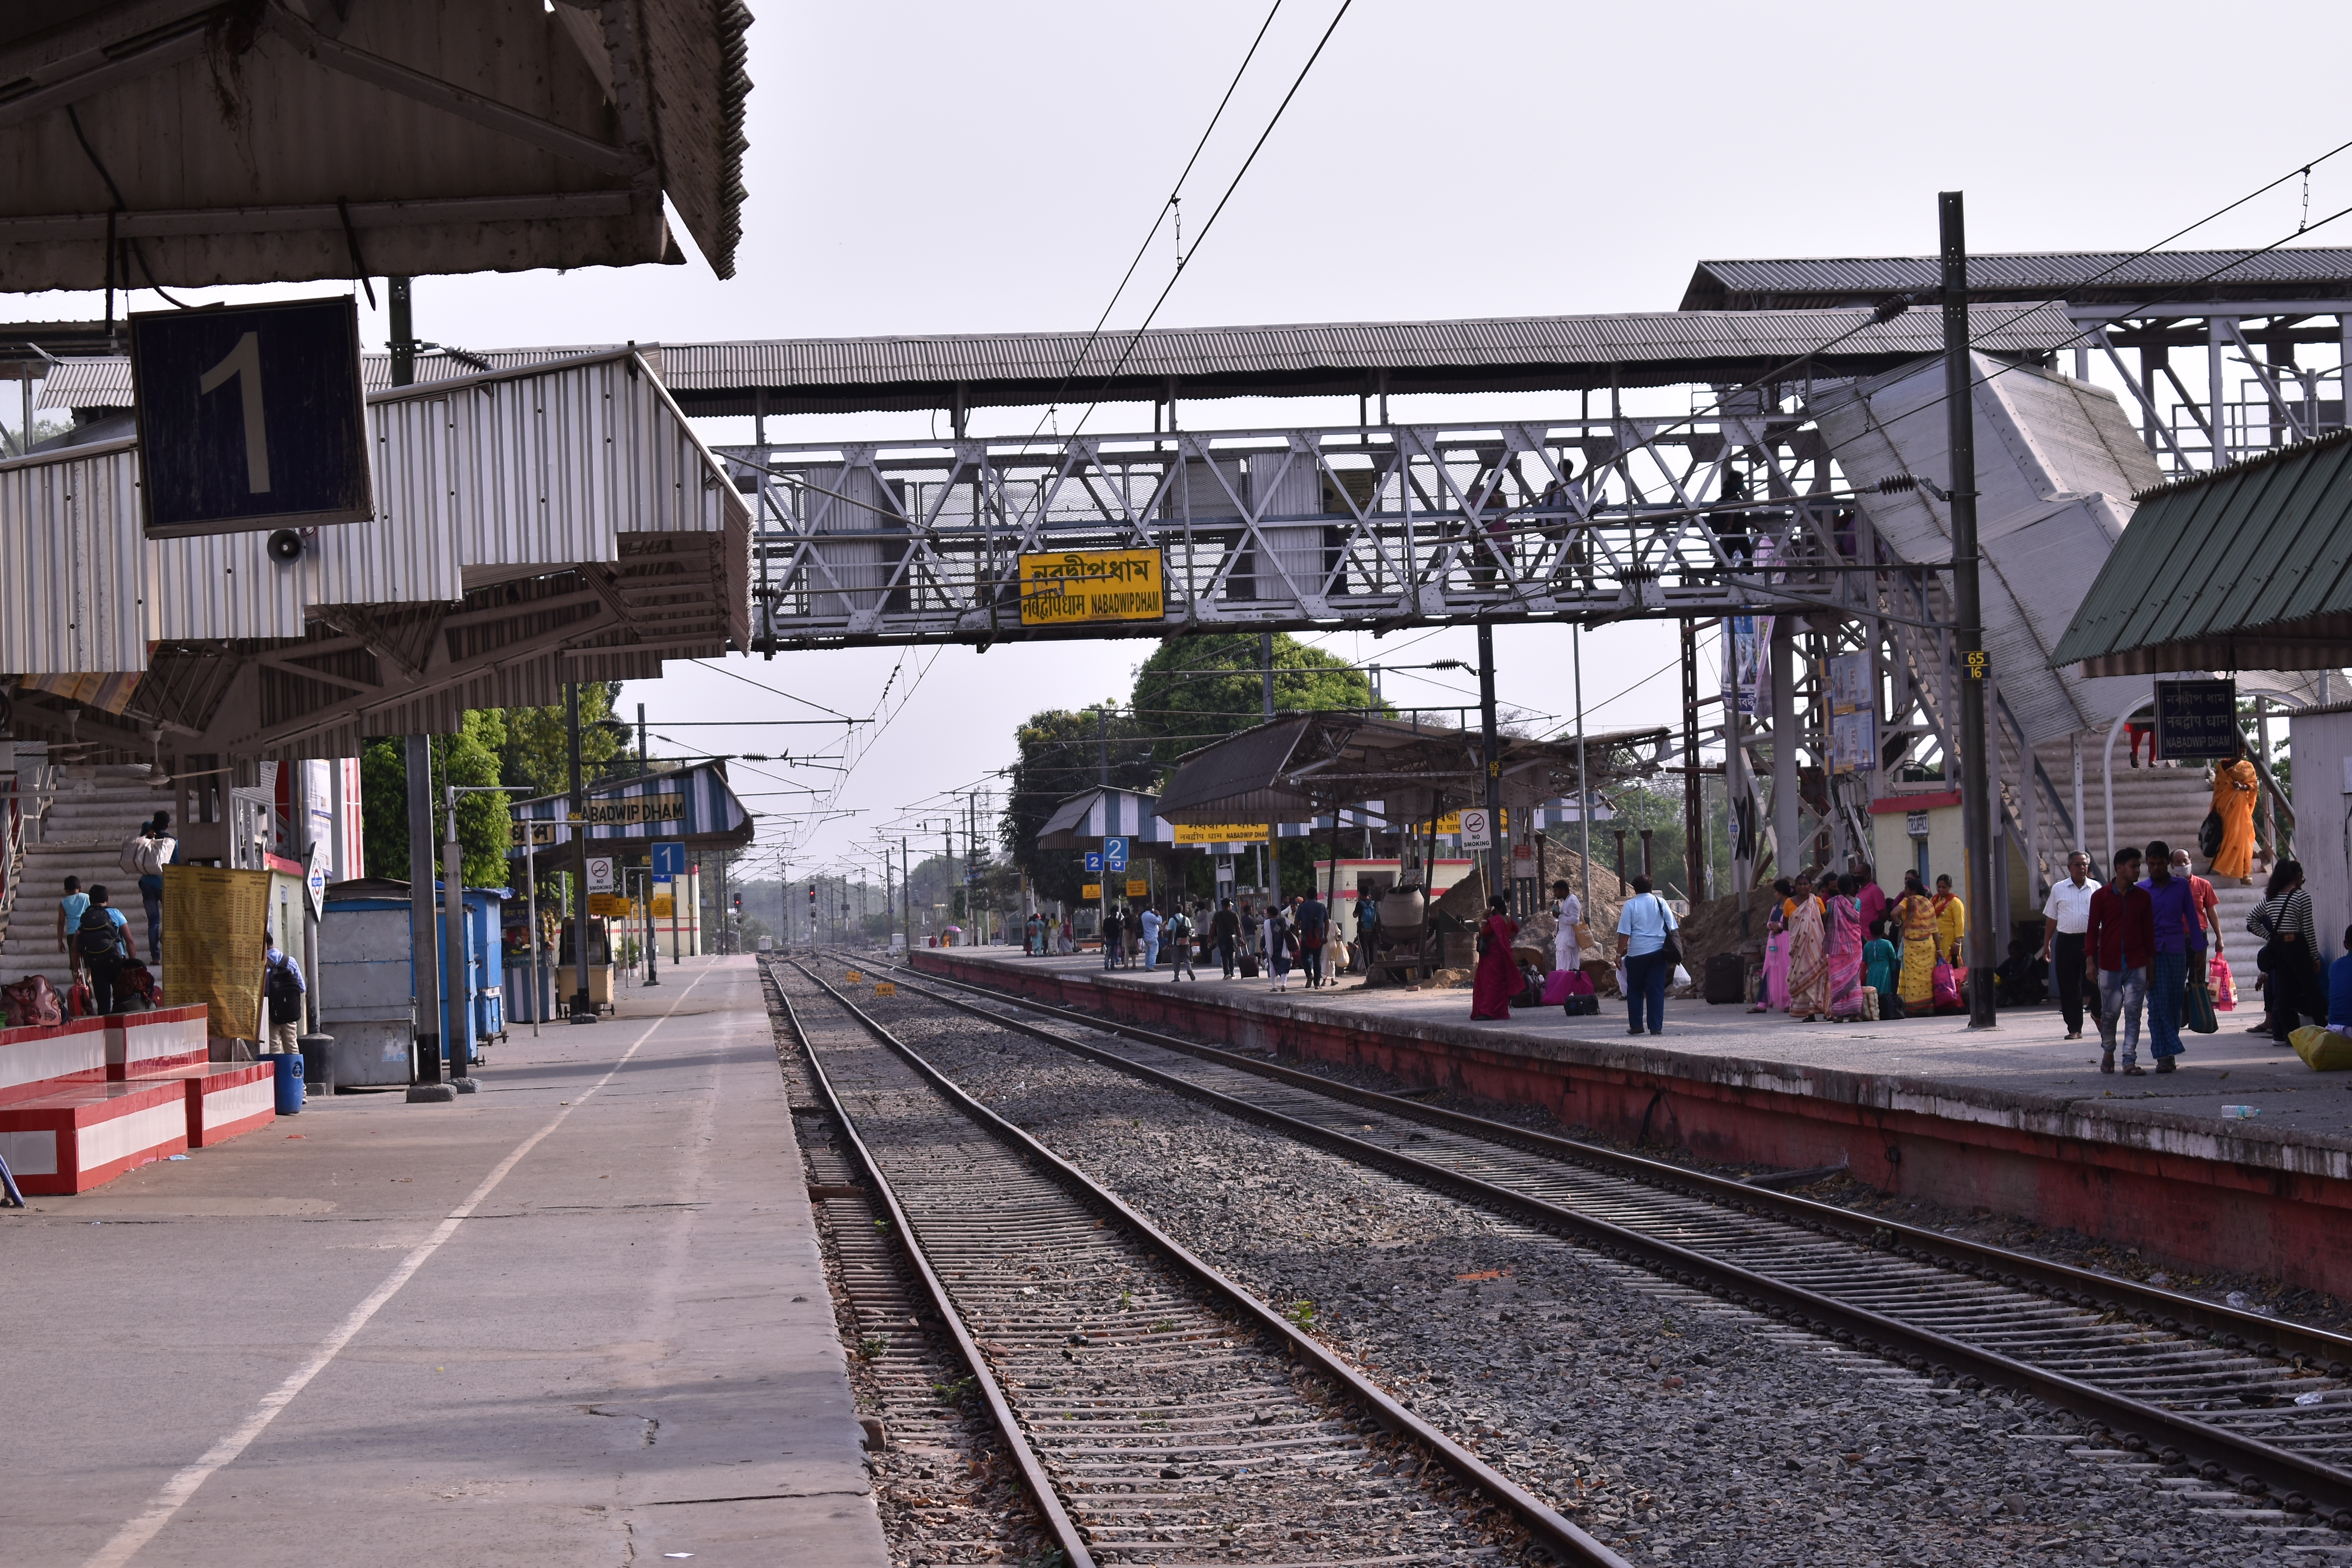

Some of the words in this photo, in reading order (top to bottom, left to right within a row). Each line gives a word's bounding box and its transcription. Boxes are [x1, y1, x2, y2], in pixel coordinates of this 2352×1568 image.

[190, 326, 276, 496] 1
[1032, 549, 1151, 589] নবদ্বীপধাম
[1018, 588, 1088, 621] नबद्वीपधाम
[1088, 588, 1161, 616] NABADWIPDHAM
[2163, 687, 2205, 707] নবদ্বীপ
[2203, 691, 2227, 707] ধাম
[2165, 708, 2203, 731] नबद्वीप
[2204, 711, 2230, 730] धाम
[2163, 733, 2210, 750] NABADWIP
[2205, 732, 2233, 748] DHAM
[575, 800, 644, 826] ABADWIP
[641, 797, 686, 823] DHAM
[1177, 829, 1206, 843] नबद्वीप
[1206, 828, 1224, 840] धाम
[1225, 829, 1255, 841] NABADWIP
[1470, 830, 1482, 841] NO
[1462, 838, 1491, 849] SMOKING
[594, 877, 606, 886] NO
[586, 880, 616, 895] NO SMOKING